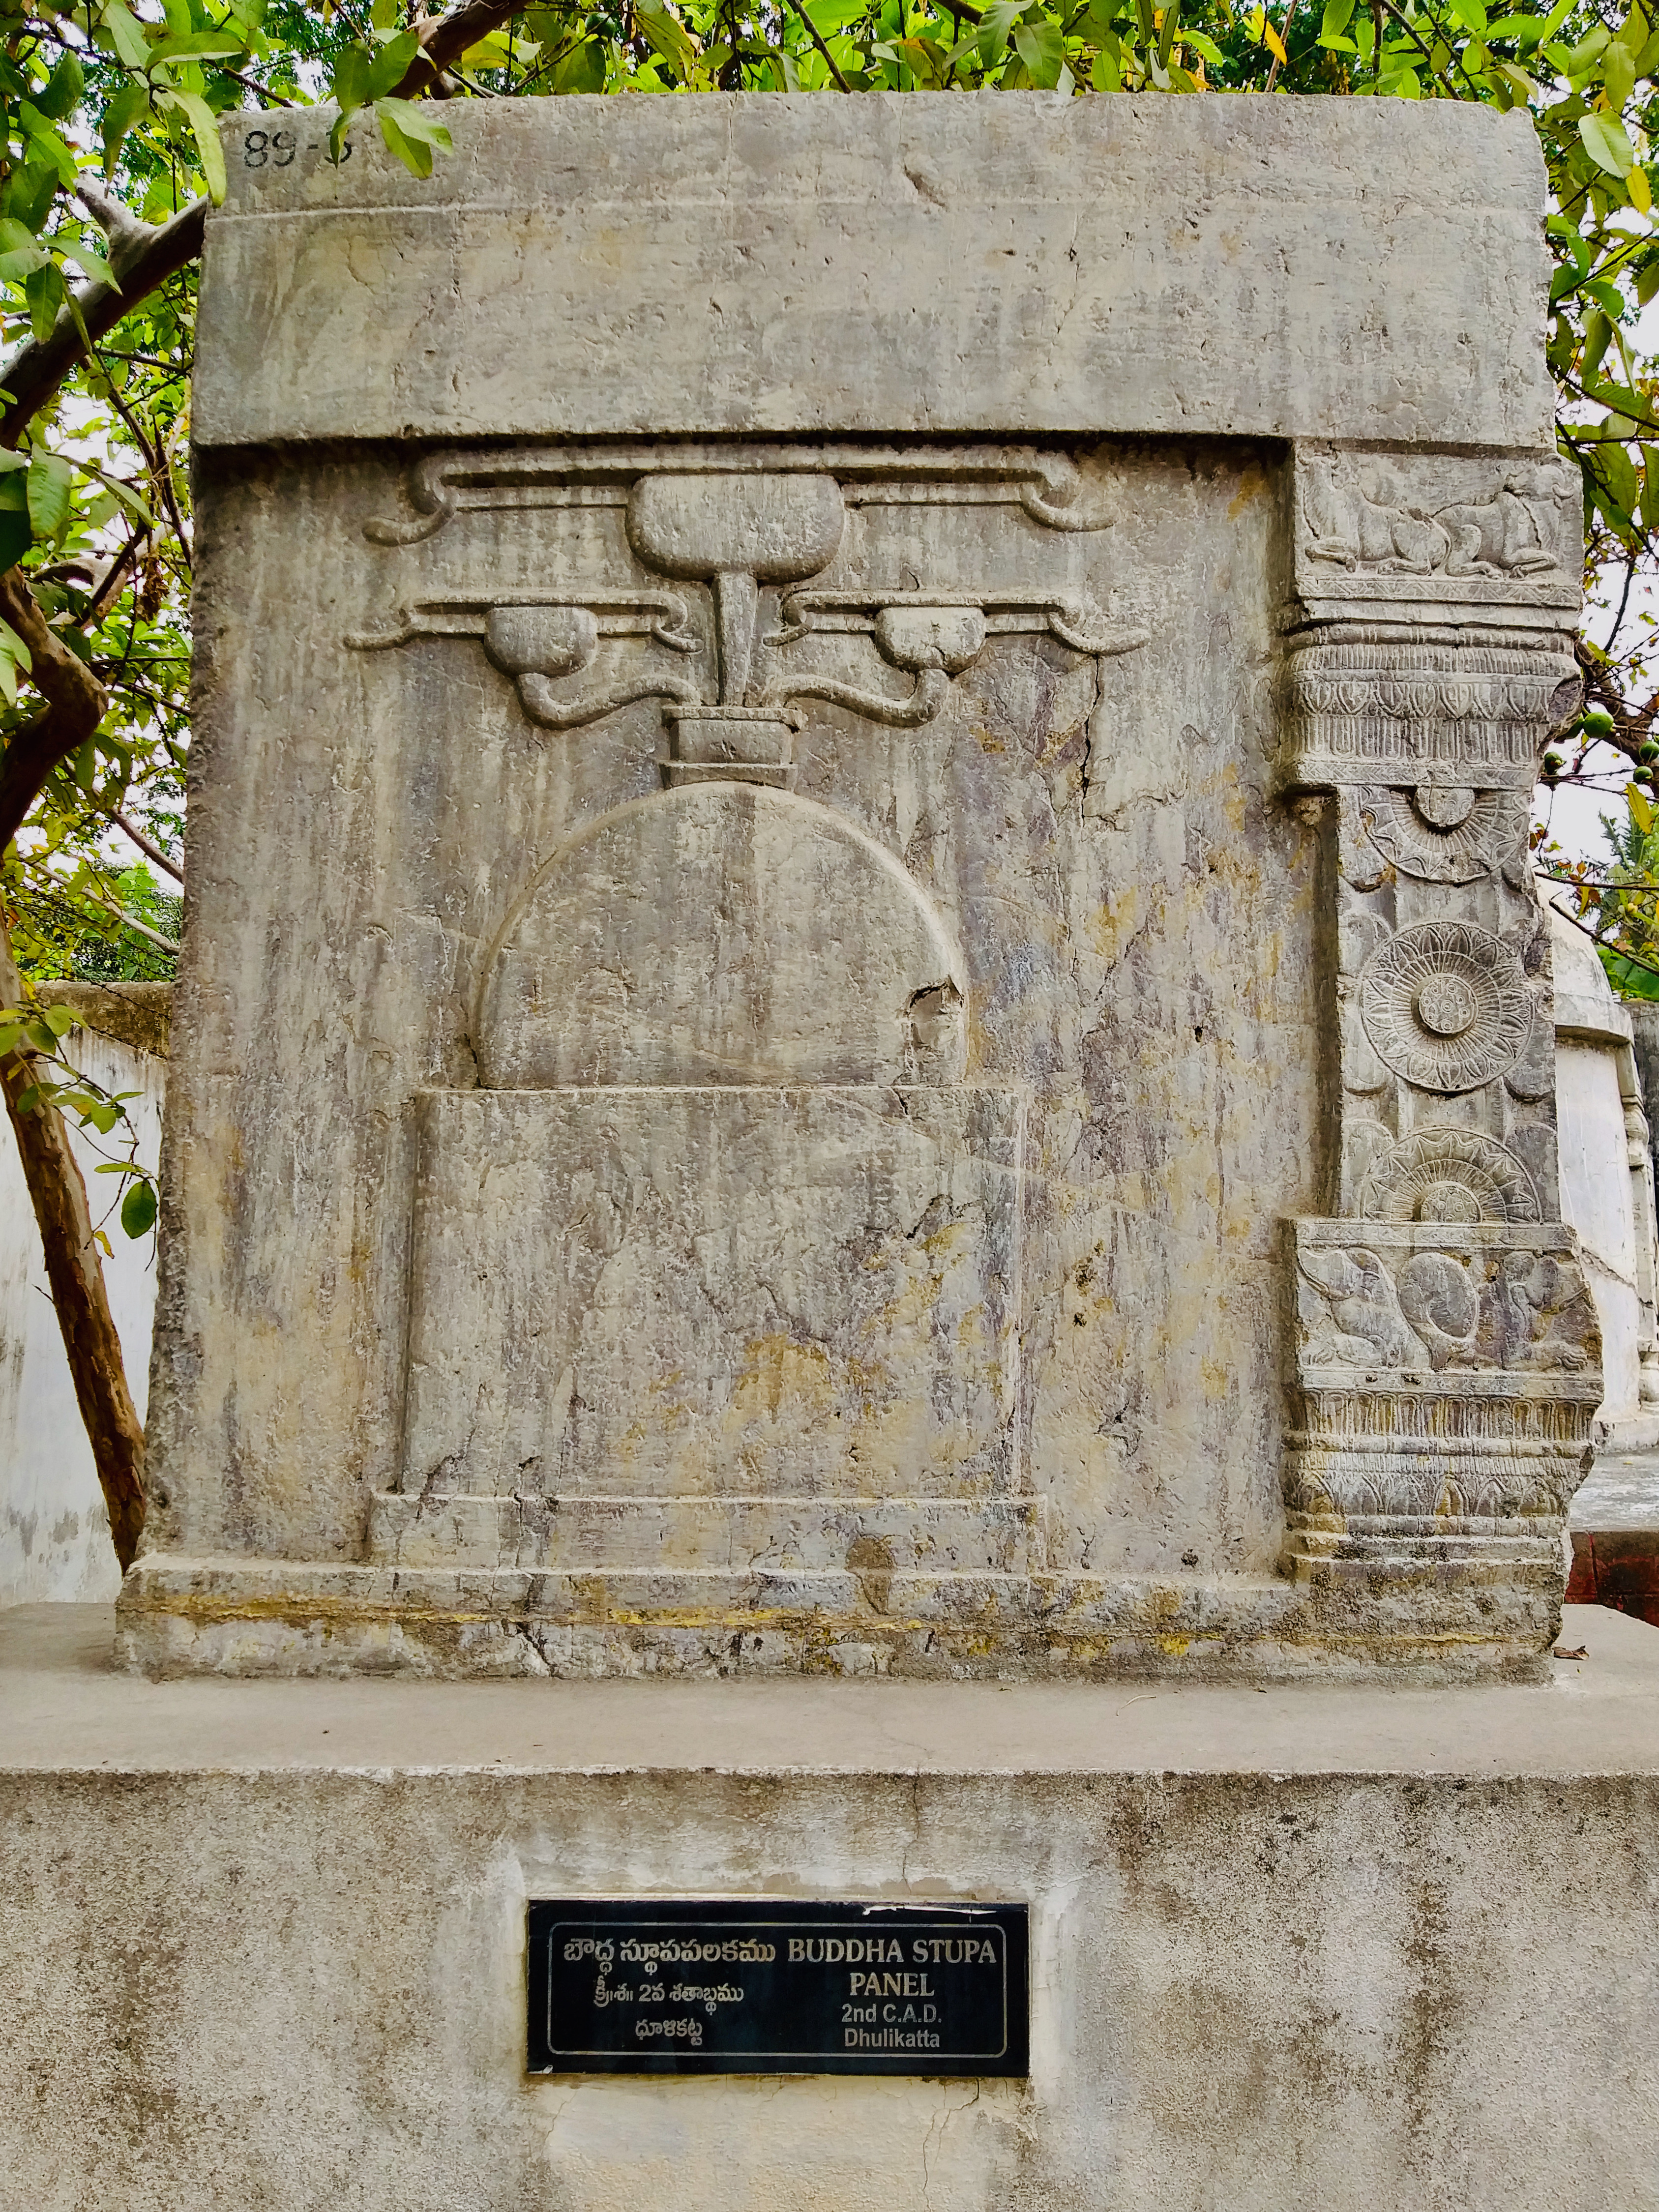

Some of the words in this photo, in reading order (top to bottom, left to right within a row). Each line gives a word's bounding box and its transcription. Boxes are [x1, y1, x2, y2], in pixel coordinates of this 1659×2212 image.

[557, 1932, 619, 1976] బౌద్ధ
[618, 1935, 777, 1978] స్థూపపలకము
[784, 1936, 906, 1964] BUDDHA
[906, 1935, 999, 1965] STUPA
[591, 1972, 635, 2010] క్రీ॥శ॥
[635, 1980, 667, 2006] 2వ
[667, 1980, 747, 2017] శతాబ్థము
[839, 2001, 881, 2025] 2nd
[845, 1969, 938, 1998] PANEL
[882, 2000, 945, 2027] C.A.D.
[632, 2015, 707, 2048] ధూళికట్ట
[842, 2025, 942, 2053] Dhulikatta